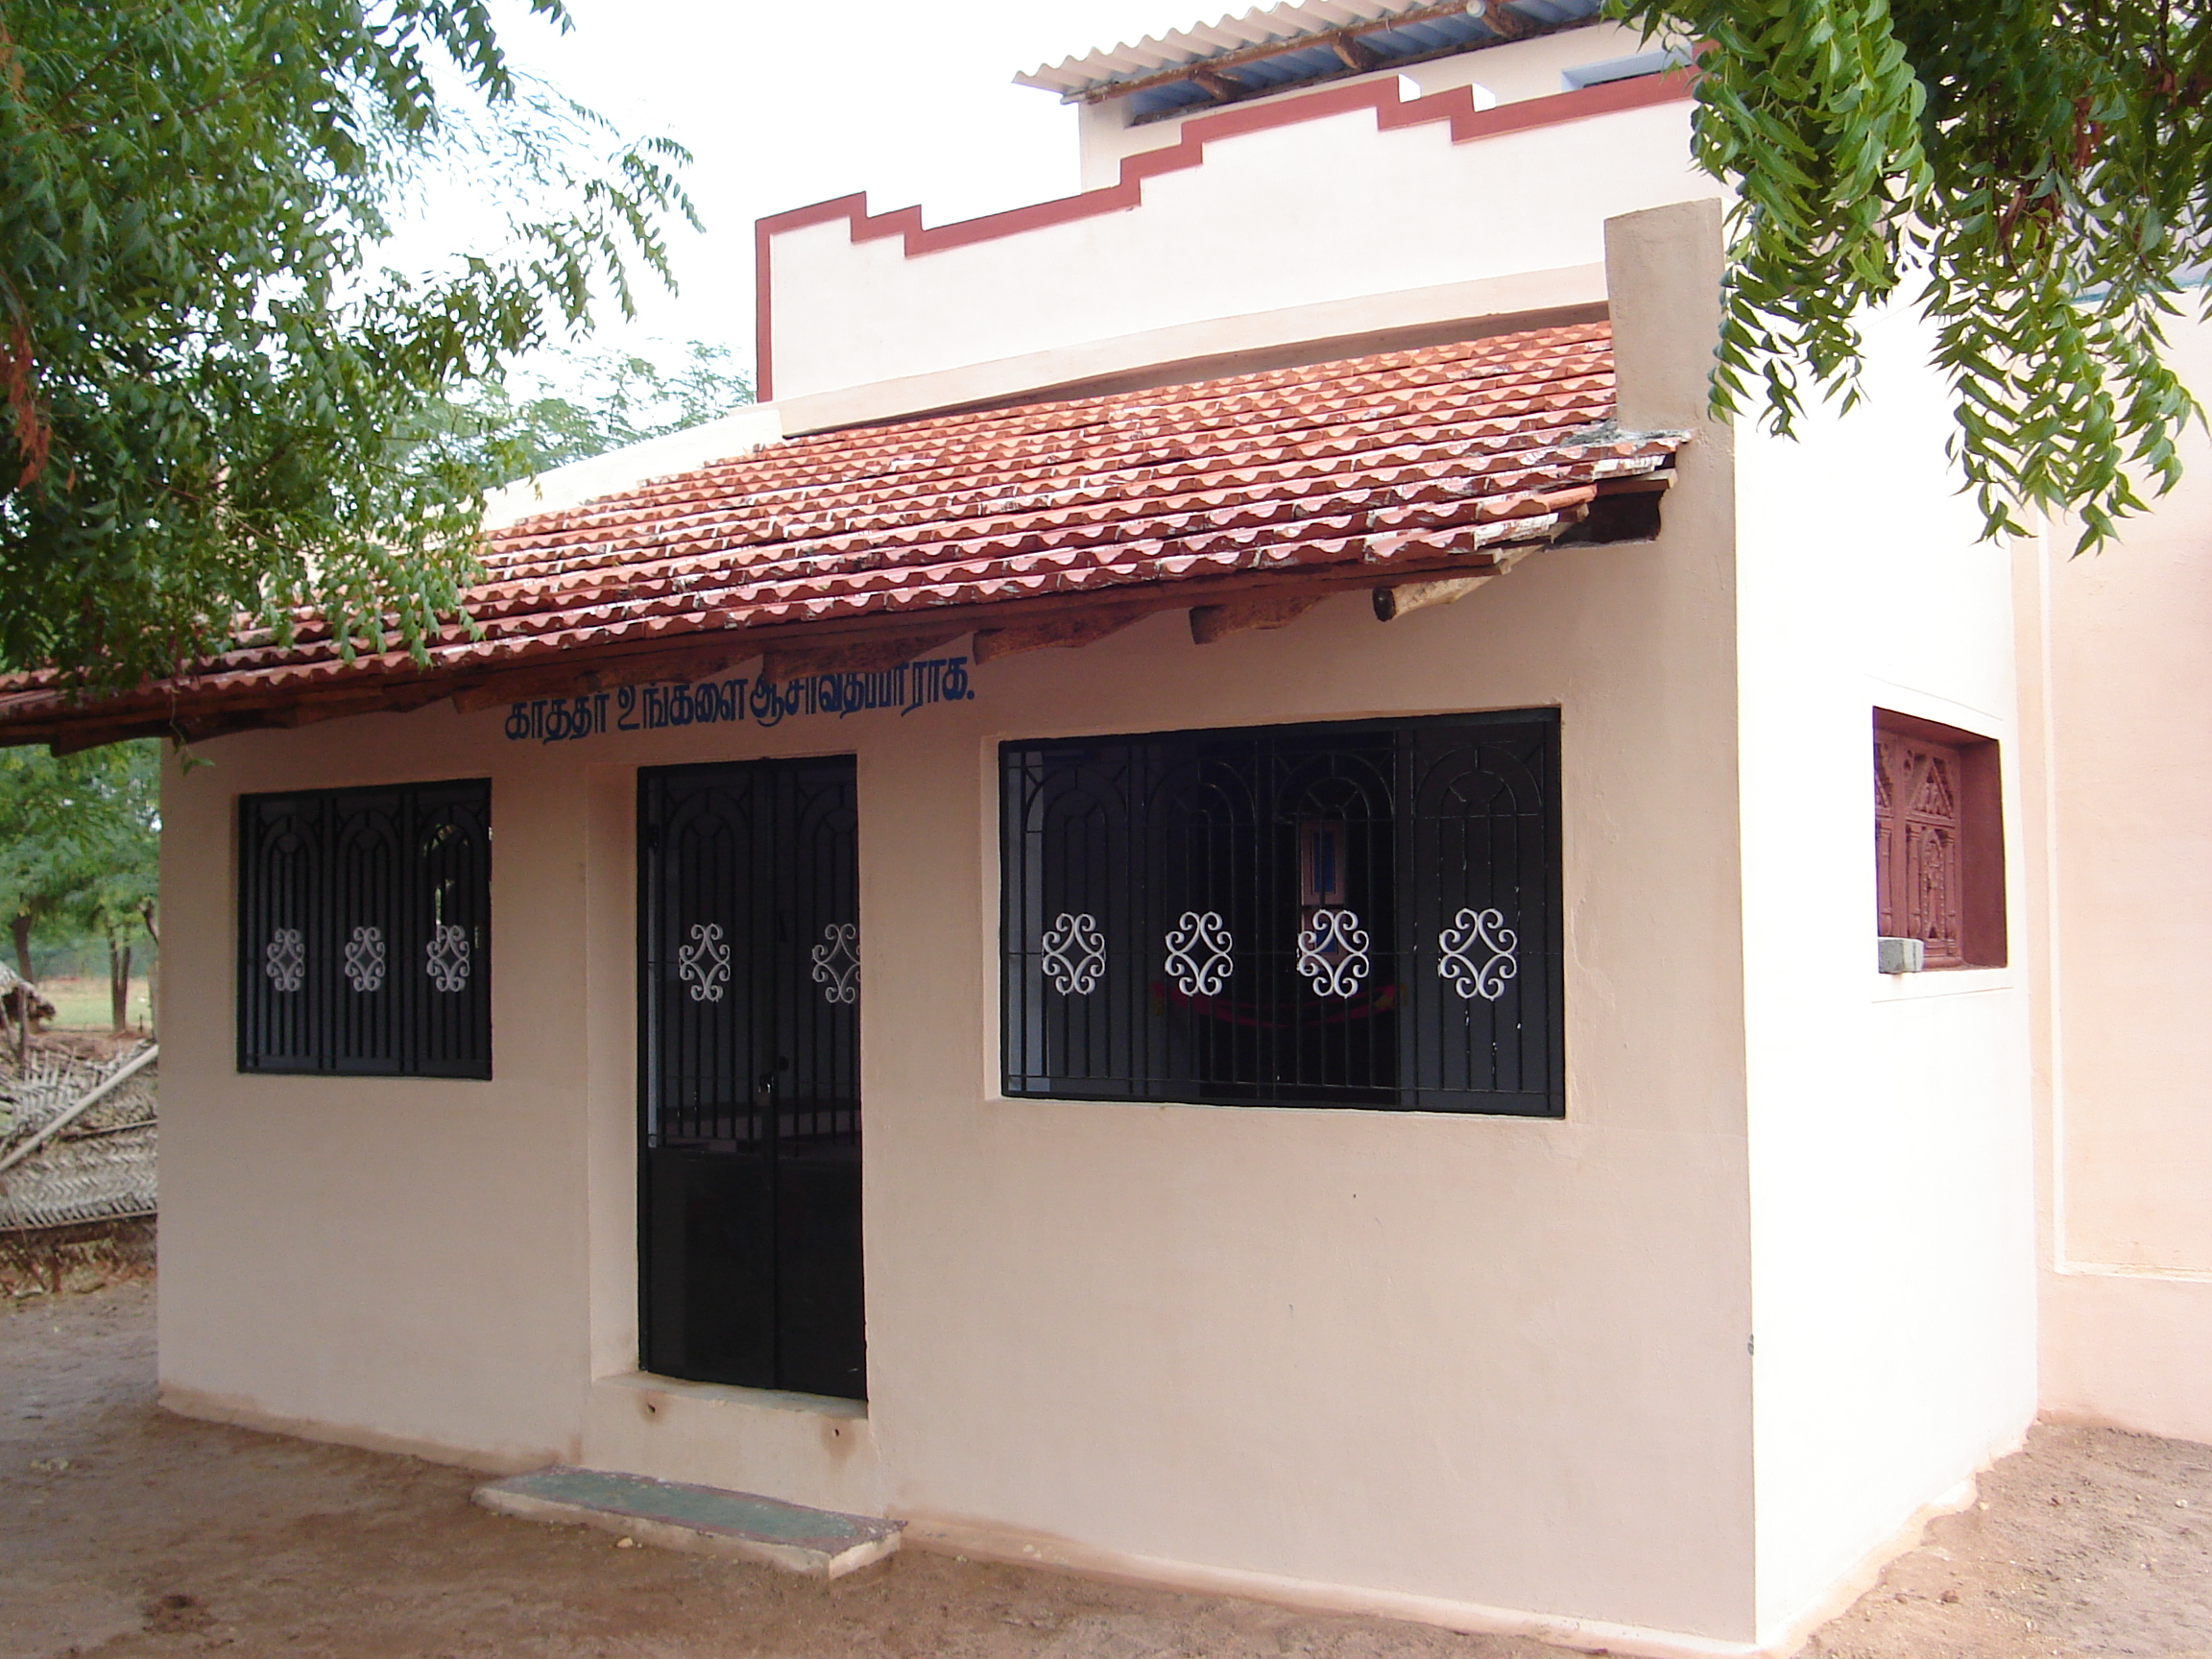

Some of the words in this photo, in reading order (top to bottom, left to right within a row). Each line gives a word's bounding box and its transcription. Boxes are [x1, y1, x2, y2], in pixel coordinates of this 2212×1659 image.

[504, 686, 613, 750] காத்தா்
[615, 654, 978, 734] உங்களை ஆசீர்வதிப்பாராக